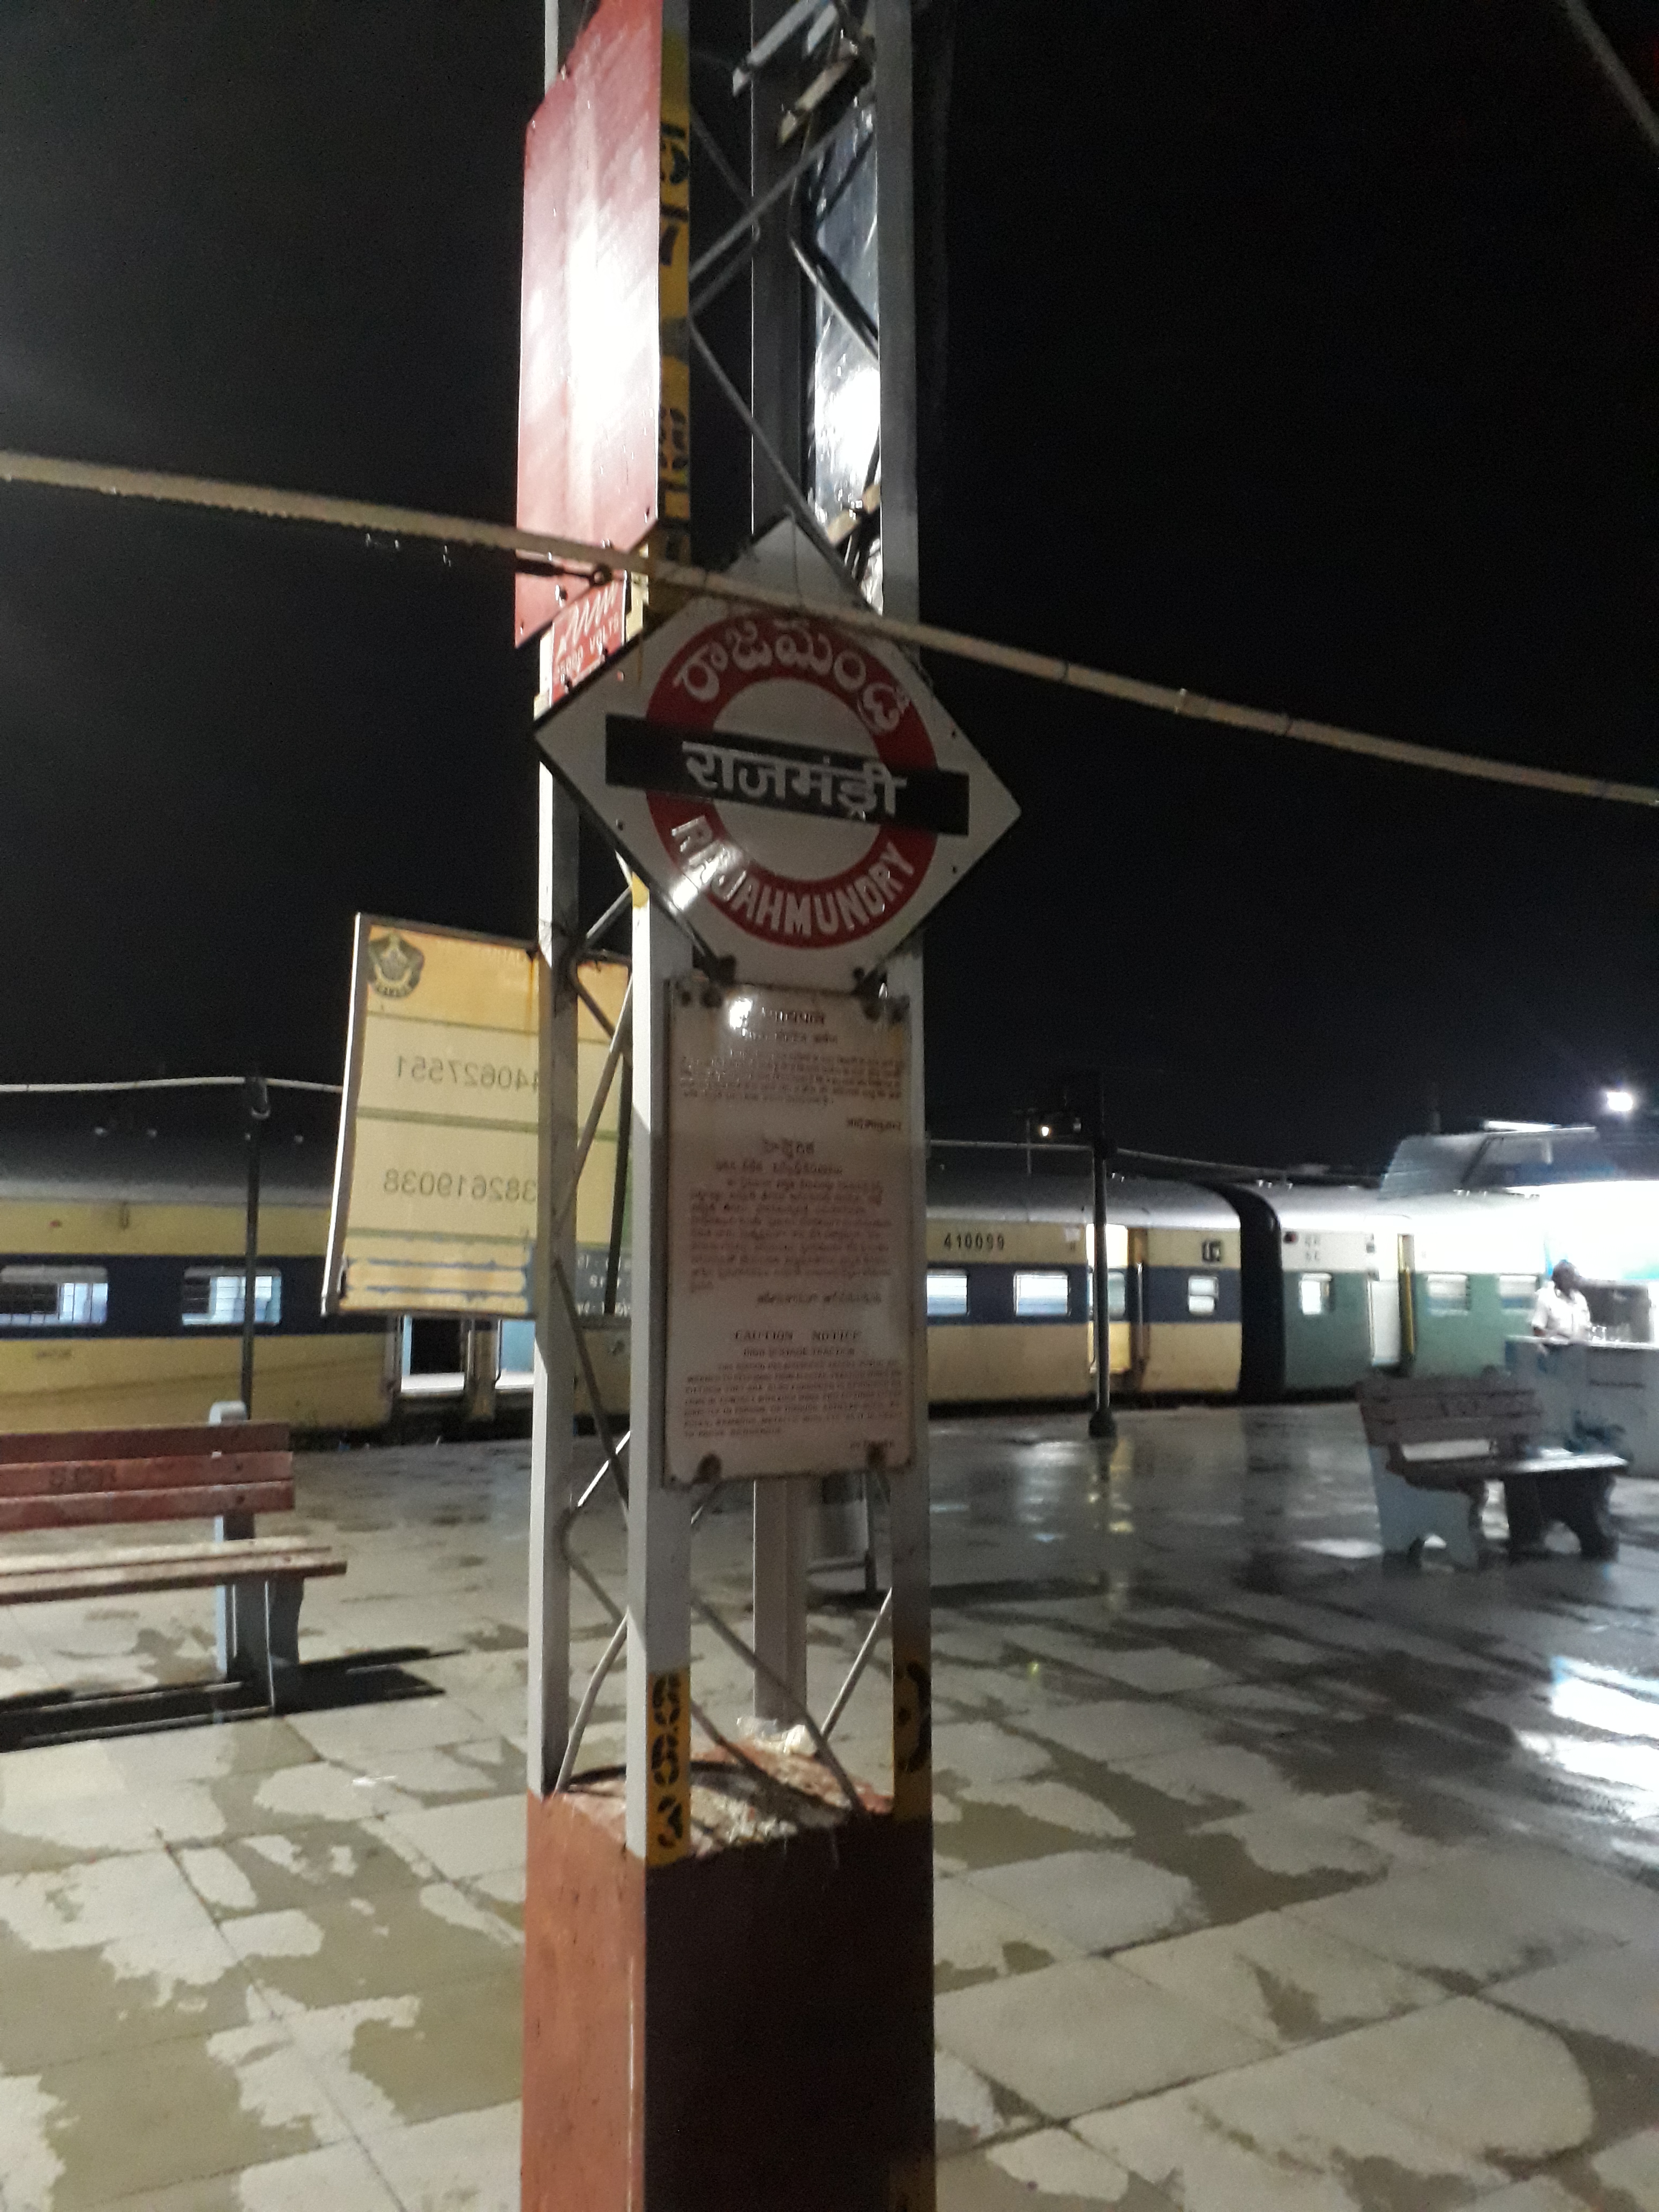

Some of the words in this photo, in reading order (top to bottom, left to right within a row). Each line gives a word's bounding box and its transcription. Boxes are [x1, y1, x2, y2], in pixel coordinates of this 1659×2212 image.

[655, 612, 921, 738] రాజమండ్రి
[668, 732, 914, 824] राजमंड्री
[658, 810, 923, 945] RAJAHMUNDRY